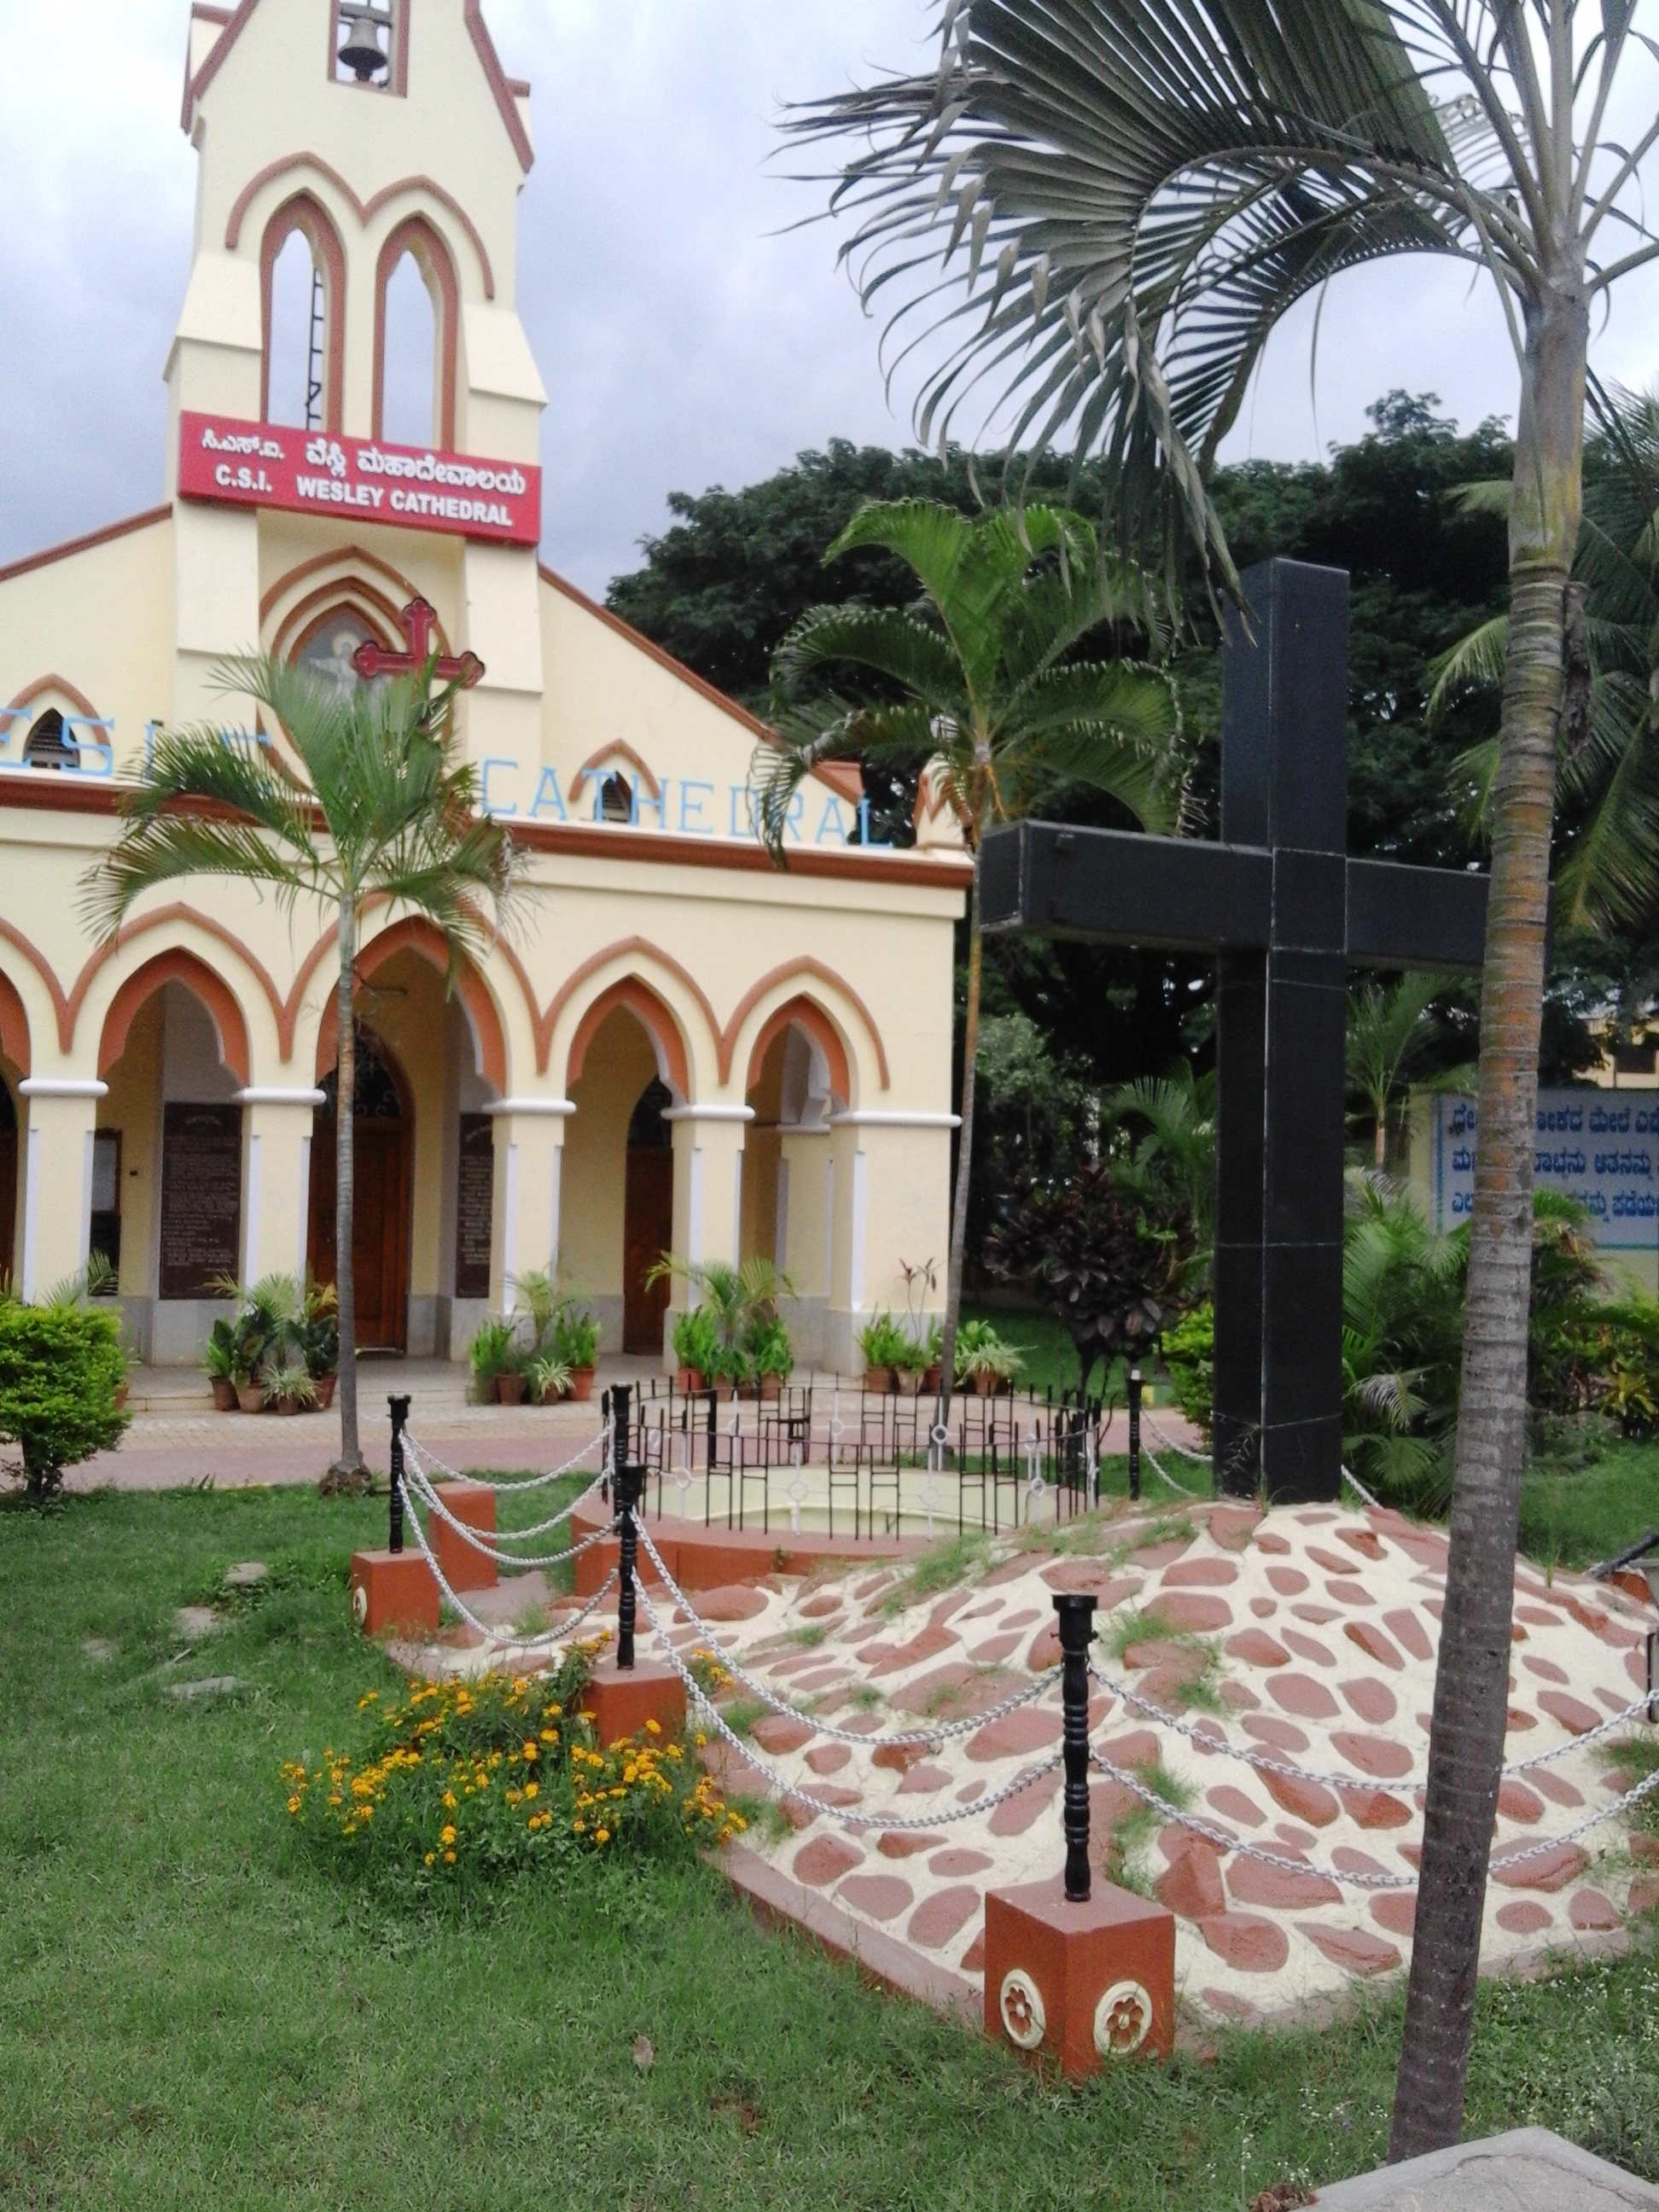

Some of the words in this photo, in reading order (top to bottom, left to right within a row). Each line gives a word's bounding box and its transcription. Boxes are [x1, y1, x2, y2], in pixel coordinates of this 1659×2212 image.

[195, 422, 288, 464] ಸಿ.ಎಸ್.ಐ.
[212, 459, 274, 496] C.S.I.
[303, 428, 350, 480] ವೆಸ್ಲಿ
[294, 471, 388, 513] WESLEY
[352, 446, 532, 499] ಮಹಾದೇವಾಲಯ
[385, 483, 514, 531] CATHEDRAL
[1529, 1100, 1590, 1138] ಶೀಕದ
[1583, 1100, 1633, 1139] ಮೇಲೆ
[1583, 1146, 1654, 1185] ಆತನನ್ಲು
[1607, 1185, 1657, 1221] ಪಡೆಯ